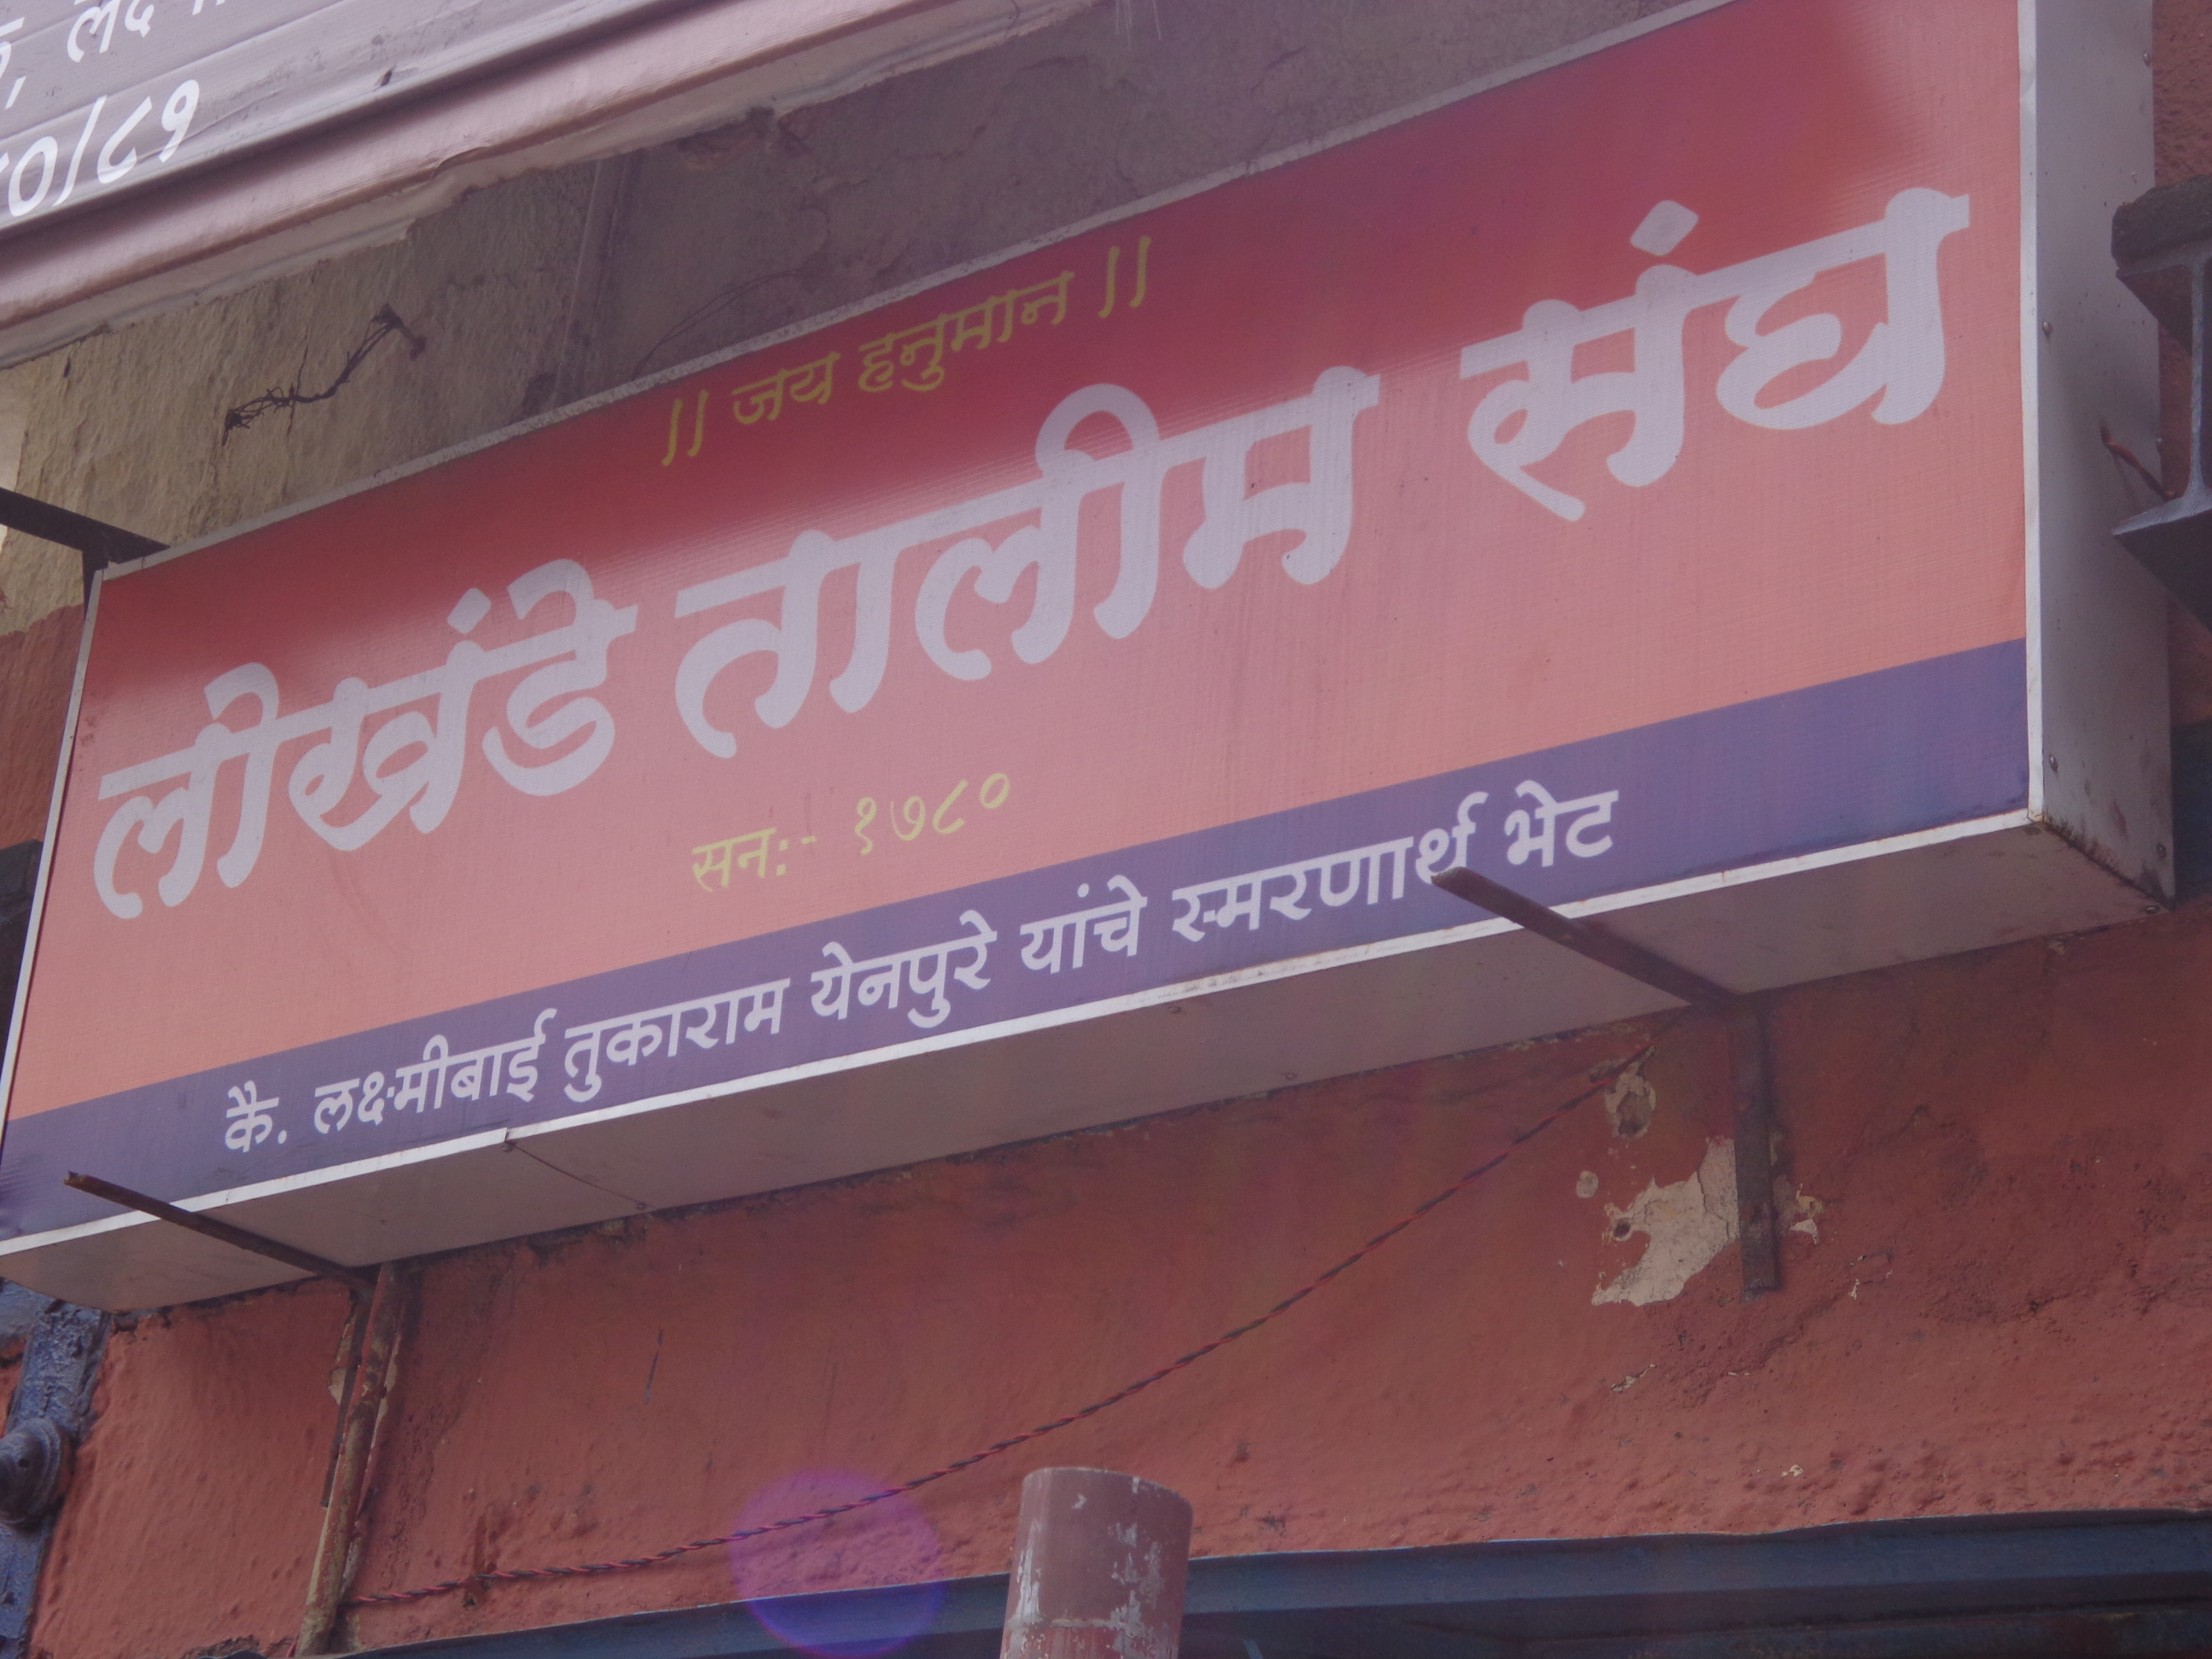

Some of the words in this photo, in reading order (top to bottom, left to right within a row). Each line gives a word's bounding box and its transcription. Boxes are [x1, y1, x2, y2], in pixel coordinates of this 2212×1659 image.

[723, 349, 841, 437] जय
[850, 266, 1070, 405] हनुमान
[1439, 178, 1971, 538] संघ
[658, 345, 1382, 755] तालीम
[70, 546, 652, 932] लोखंडे
[207, 1050, 302, 1167] कै.
[309, 1004, 560, 1140] लक्ष्मीबाई
[555, 956, 804, 1108] तुकाराम
[689, 825, 792, 893] सनः
[805, 904, 1001, 1041] येनपुरे
[847, 760, 1008, 861] १७८०
[1002, 859, 1176, 985] यांचे
[1161, 785, 1499, 952] स्मरणार्थ
[1496, 776, 1621, 876] भेट